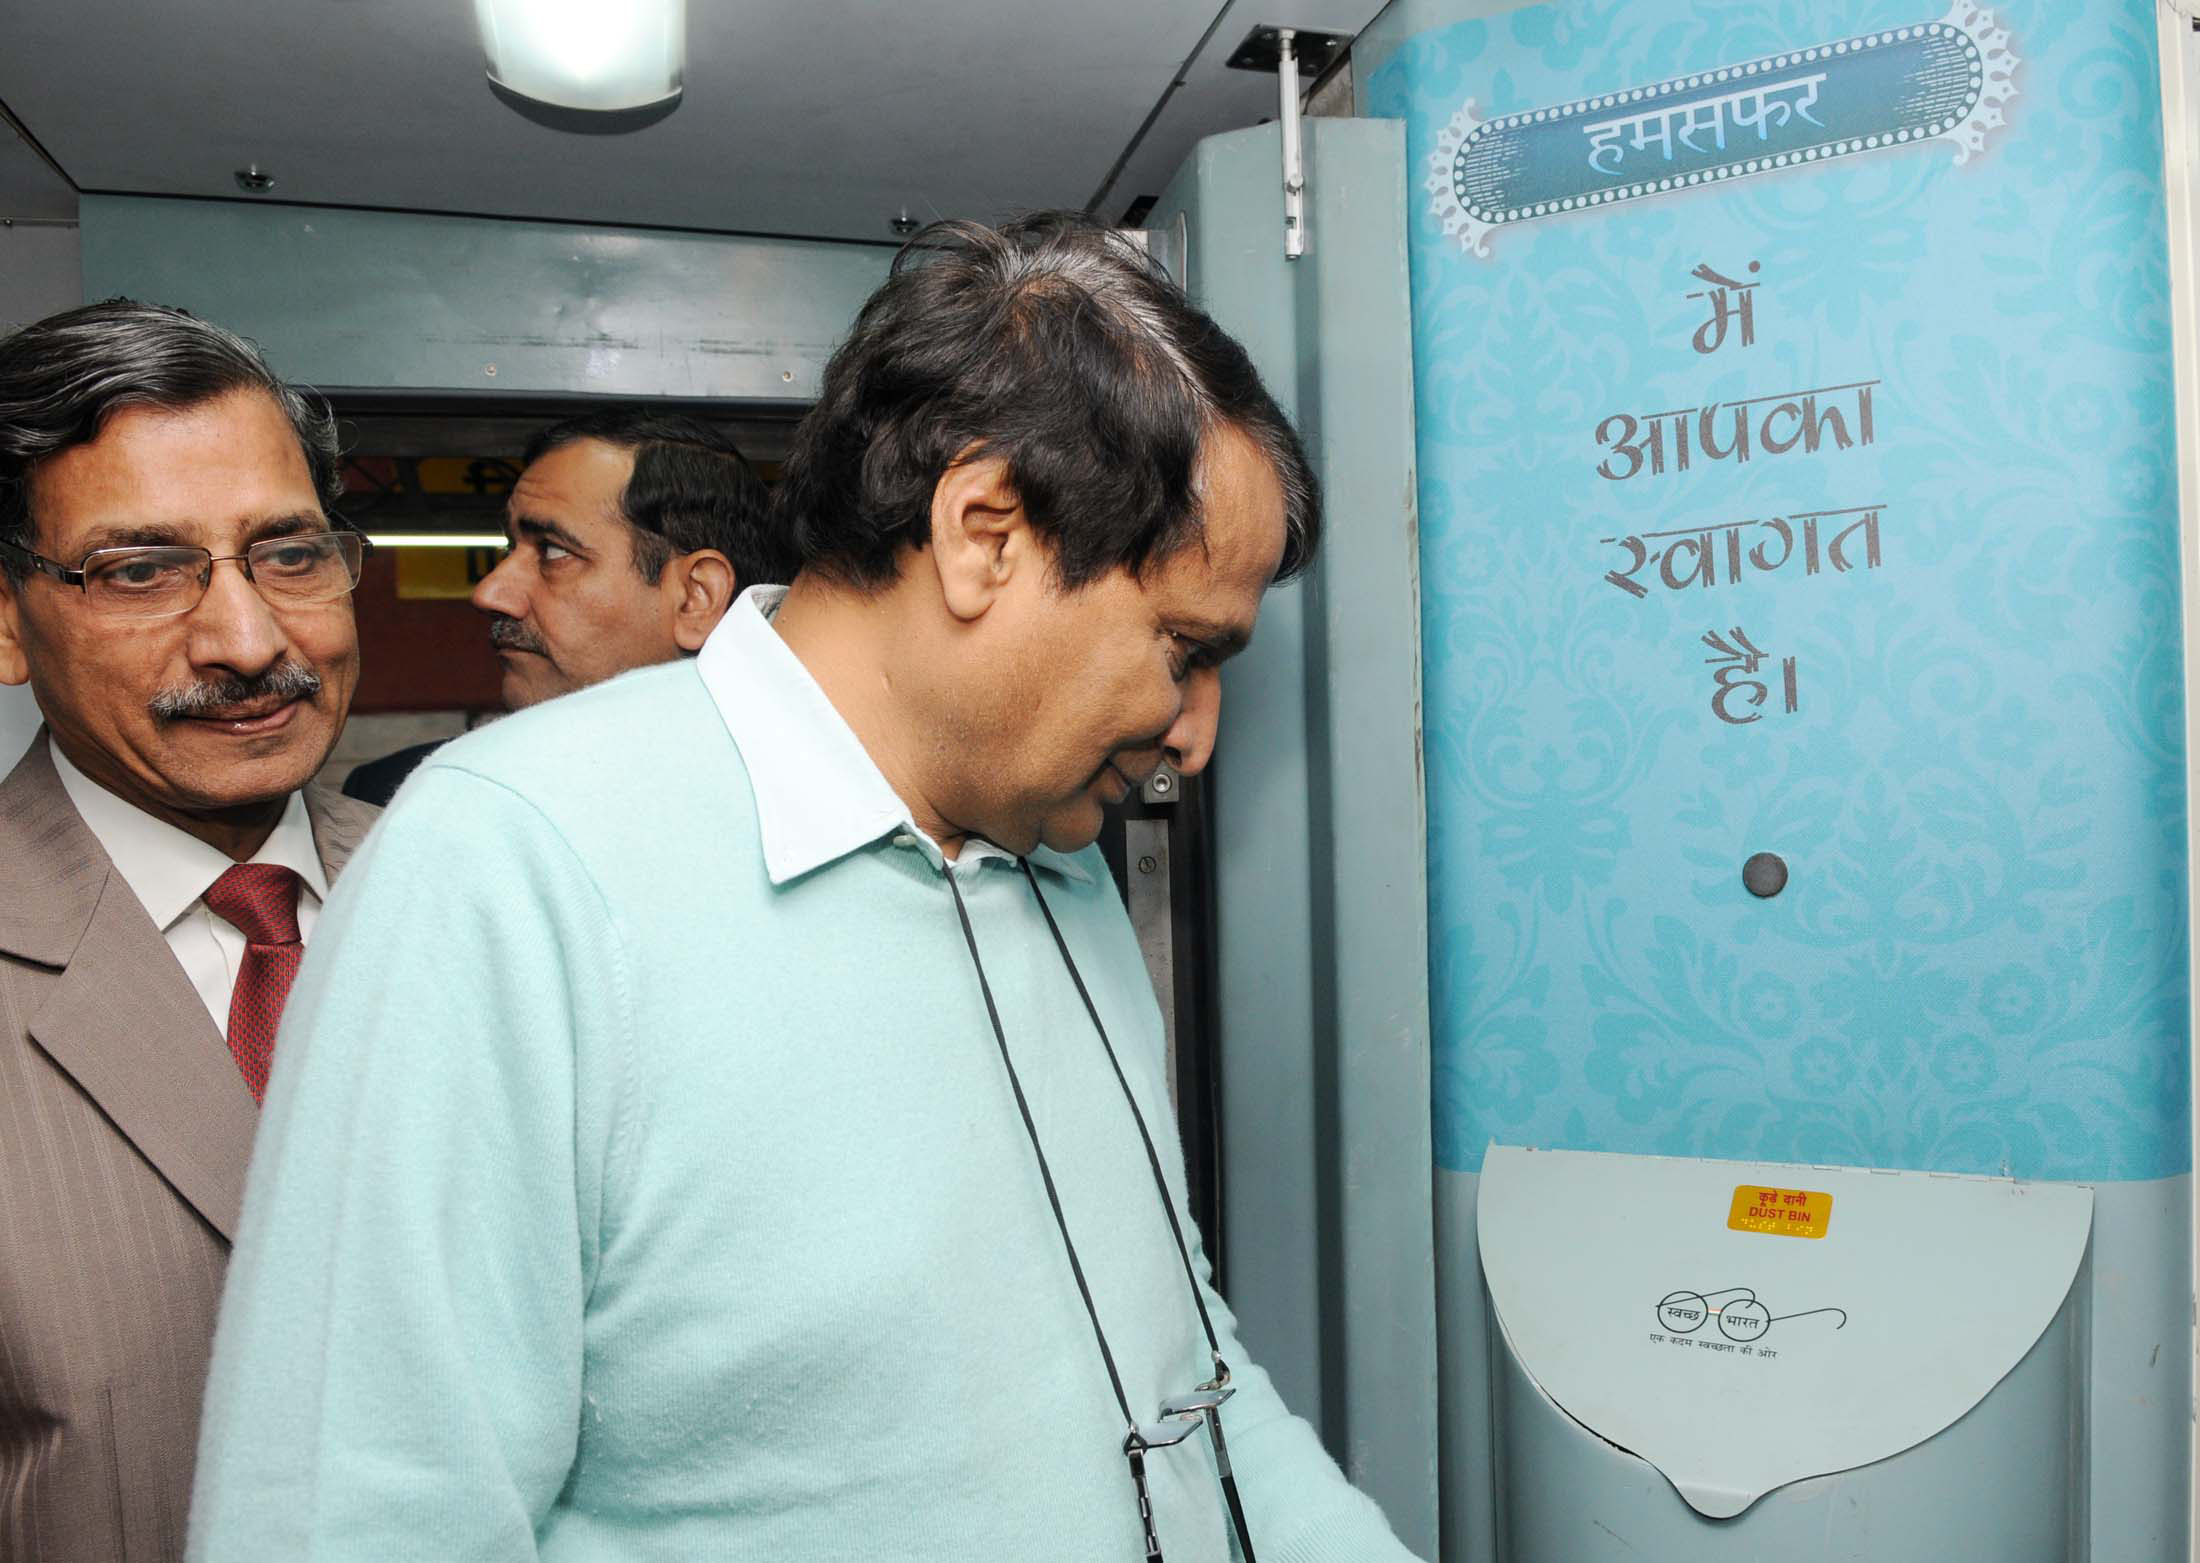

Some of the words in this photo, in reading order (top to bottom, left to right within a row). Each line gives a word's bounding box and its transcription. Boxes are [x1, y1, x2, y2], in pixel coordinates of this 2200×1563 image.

[1577, 67, 1833, 181] हमसफर
[1676, 256, 1771, 363] में
[1597, 374, 1883, 483] आपका
[1589, 501, 1890, 602] स्वागत
[1702, 625, 1810, 736] है।
[1755, 1186, 1783, 1207] कूडे
[1781, 1189, 1811, 1208] वानी
[1746, 1203, 1786, 1223] DUST
[1783, 1209, 1814, 1223] BIN
[1665, 1303, 1703, 1321] स्वच्छ
[1721, 1313, 1763, 1331] भारत
[1645, 1333, 1667, 1348] एक
[1668, 1334, 1695, 1348] कदम
[1695, 1338, 1737, 1357] स्वच्छता
[1735, 1341, 1757, 1357] की
[1753, 1345, 1781, 1362] ओर